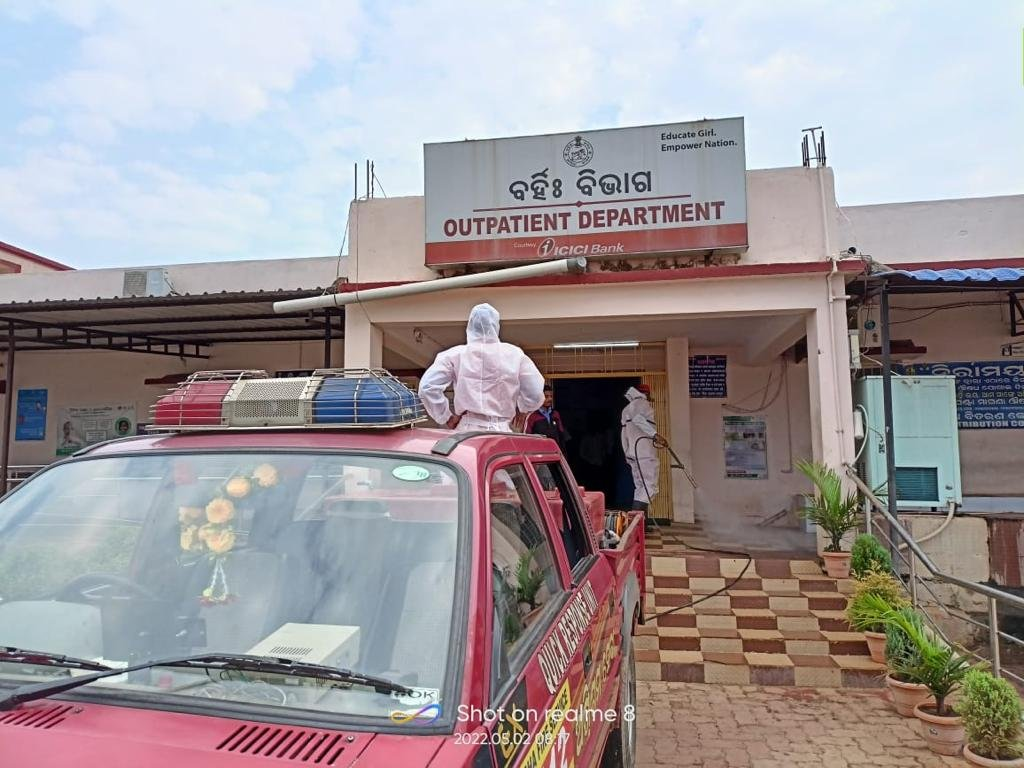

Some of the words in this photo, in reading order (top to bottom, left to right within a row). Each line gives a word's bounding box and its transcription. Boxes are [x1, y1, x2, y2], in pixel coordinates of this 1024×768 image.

[658, 125, 700, 142] Educate
[657, 137, 704, 156] Empower
[692, 122, 720, 140] Girl.
[700, 134, 741, 151] Nation.
[501, 165, 567, 203] ବହିଃ
[574, 165, 655, 198] ବିଭାଗ
[439, 209, 577, 238] OUTPATIENT
[577, 193, 725, 232] DEPARTMENT
[536, 233, 591, 262] DICICI
[585, 239, 627, 258] Bank
[530, 625, 577, 699] QUICK
[451, 699, 510, 726] Shot
[504, 698, 540, 726] on
[540, 702, 621, 725] realme
[449, 728, 574, 749] 2022.05.02 08.17